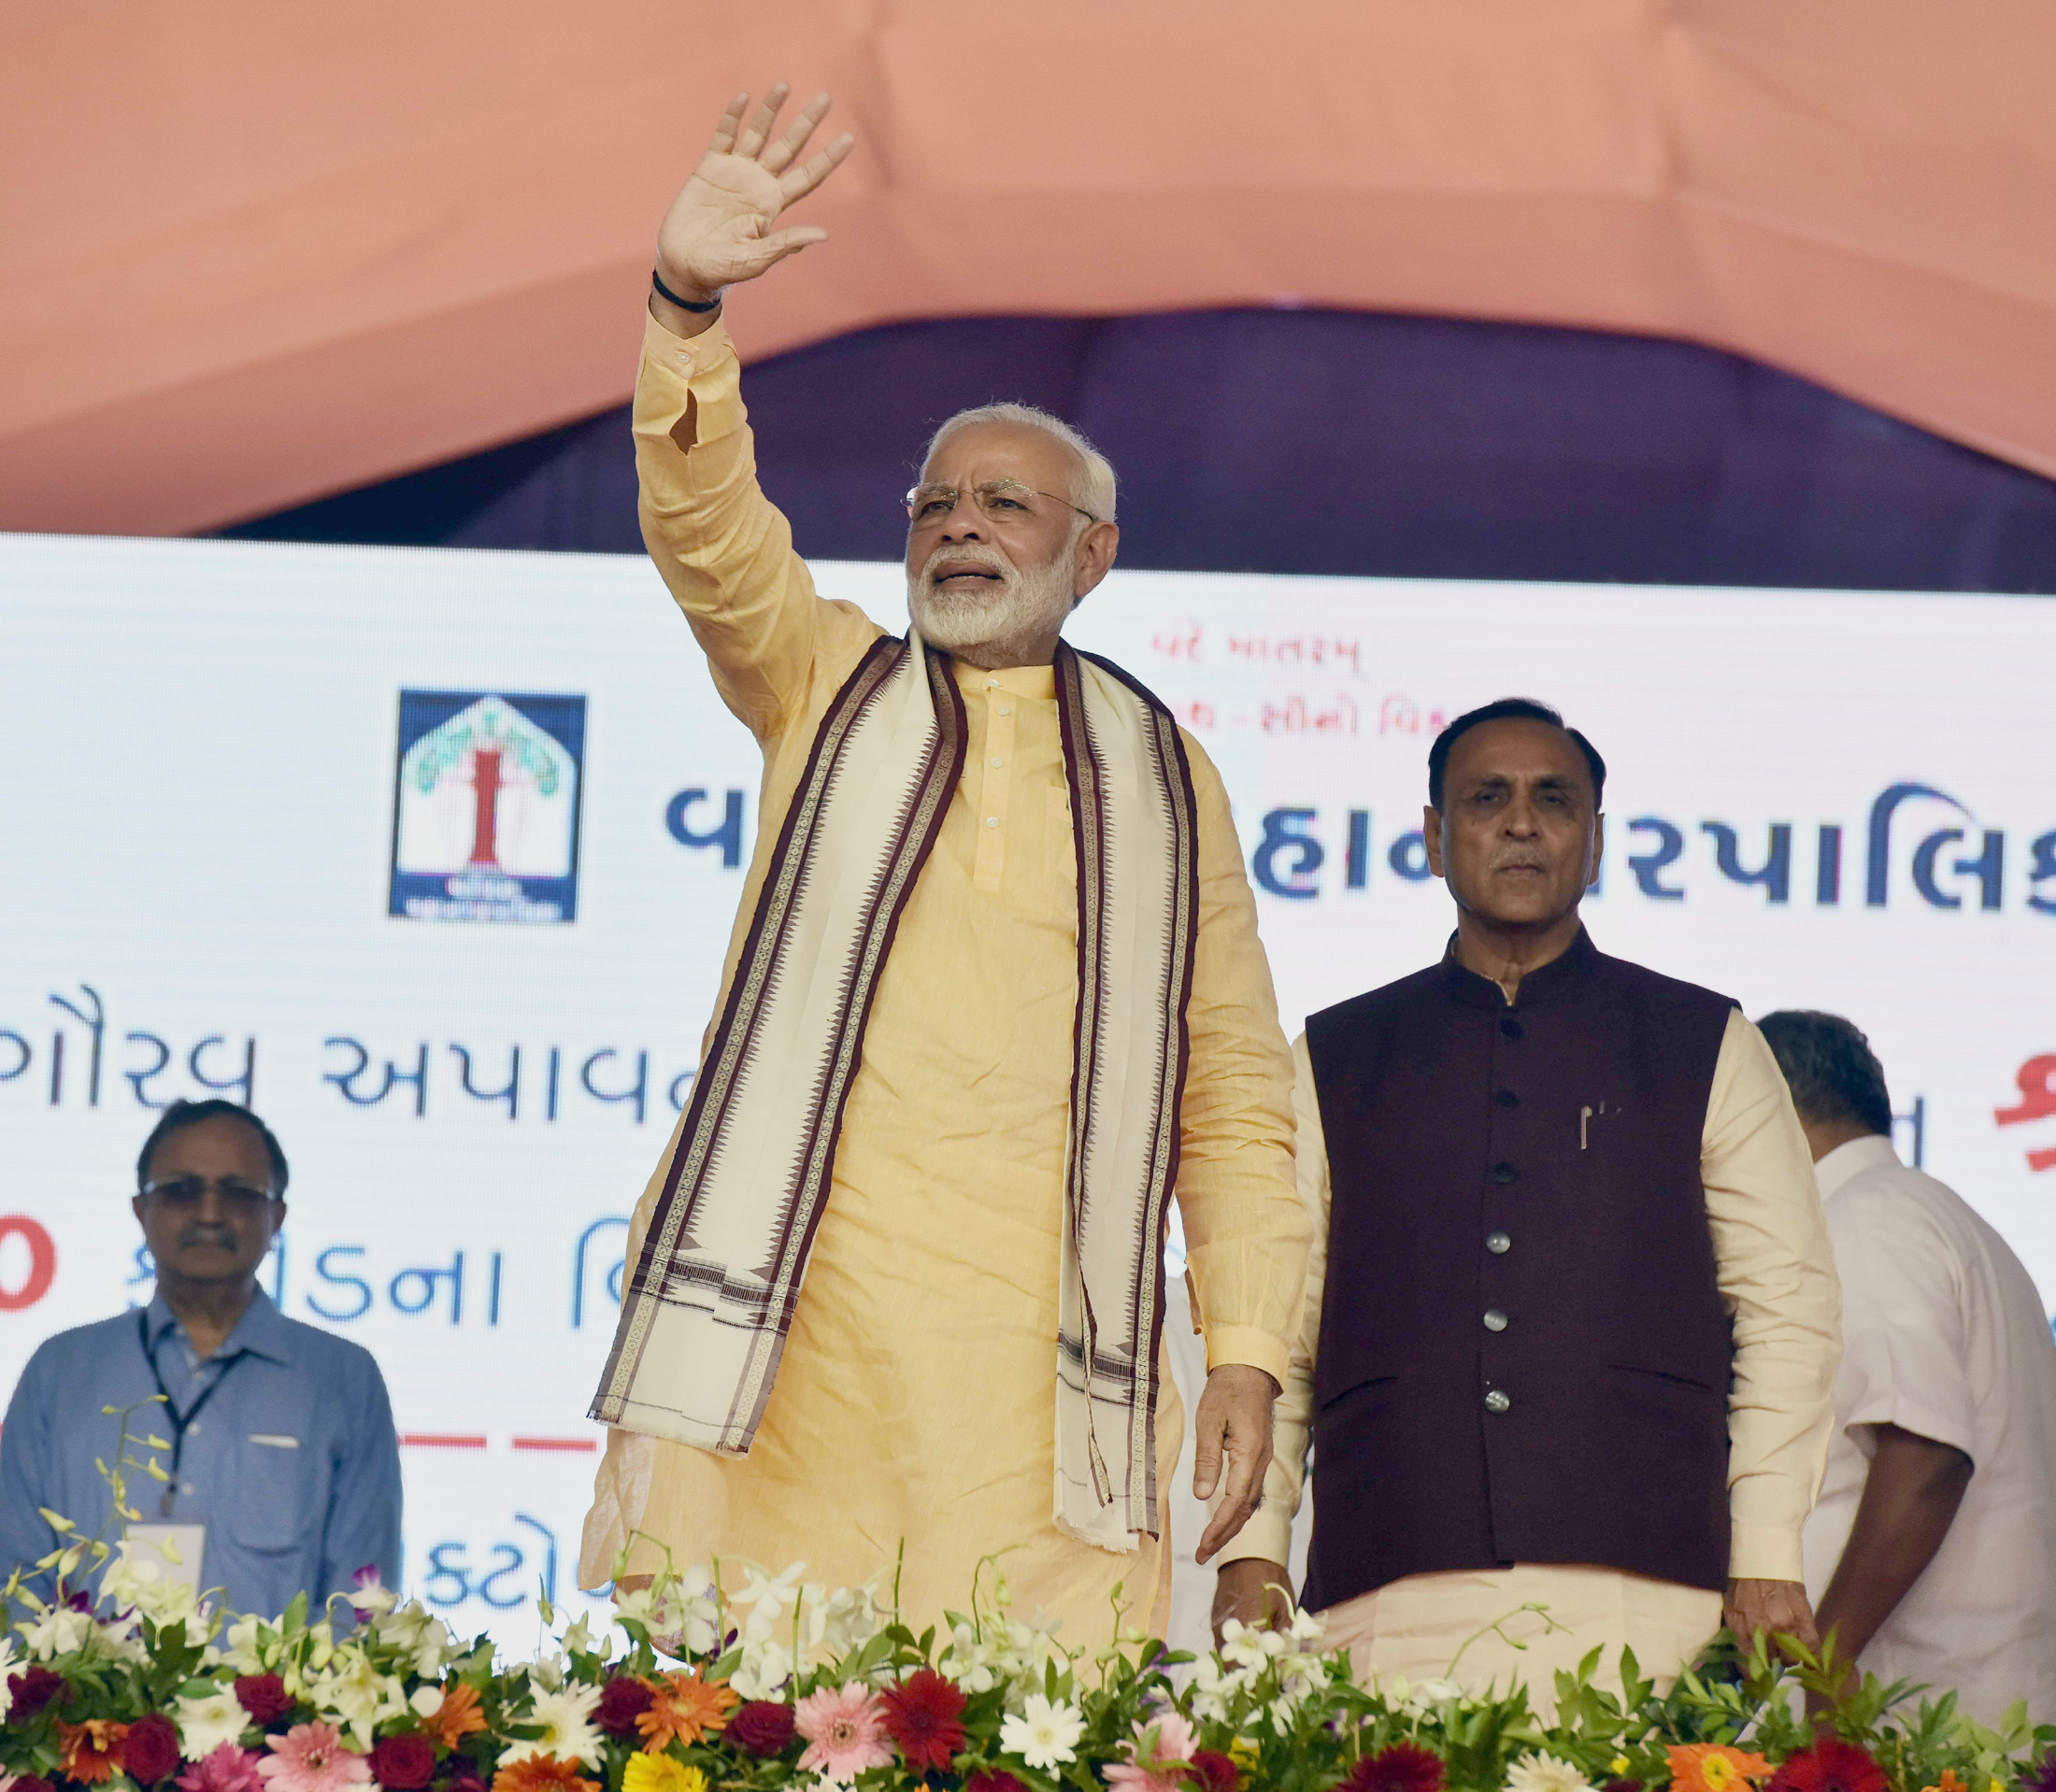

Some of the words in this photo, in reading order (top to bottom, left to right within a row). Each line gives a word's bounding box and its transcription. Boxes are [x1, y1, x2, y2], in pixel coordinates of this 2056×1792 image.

[656, 774, 755, 884] વ
[1250, 796, 1381, 910] હા
[1617, 772, 2019, 925] રપાલિ
[0, 977, 269, 1121] ગૌરવ
[307, 1030, 664, 1138] અપાવ
[300, 1232, 511, 1334] ડના
[411, 1508, 570, 1626] કટો